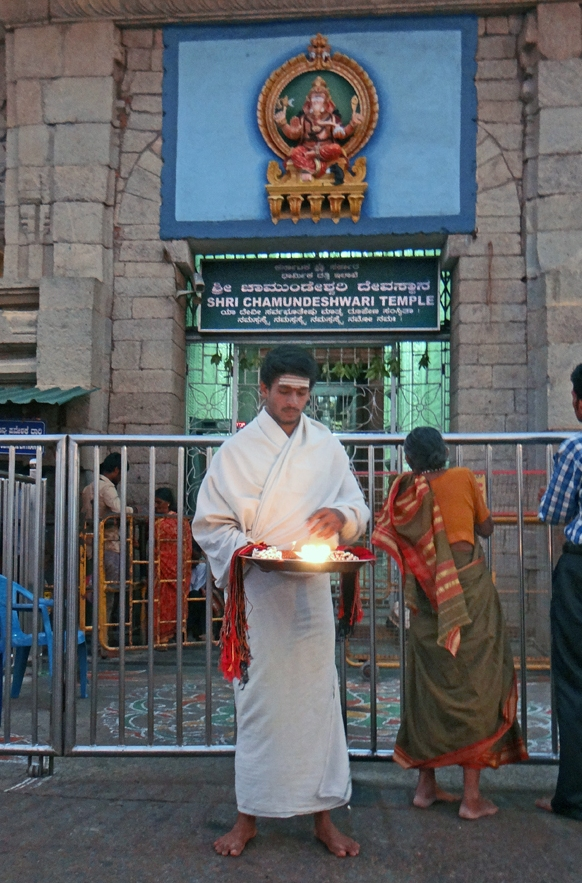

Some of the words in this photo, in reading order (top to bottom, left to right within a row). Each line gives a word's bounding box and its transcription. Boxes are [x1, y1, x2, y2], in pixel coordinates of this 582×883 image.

[206, 278, 238, 300] ಶ್ರೀ
[237, 276, 353, 300] ಚಾಮುಂಡೇಶ್ವರಿ
[351, 274, 435, 298] ದೇವಸ್ವಾನ
[201, 294, 243, 313] SHRI
[215, 301, 241, 323] abs
[238, 289, 379, 313] CHAMUNDESHWARI
[379, 301, 419, 319] ಸಂಸ್ವಿತಾ
[374, 290, 440, 311] TEMPLE